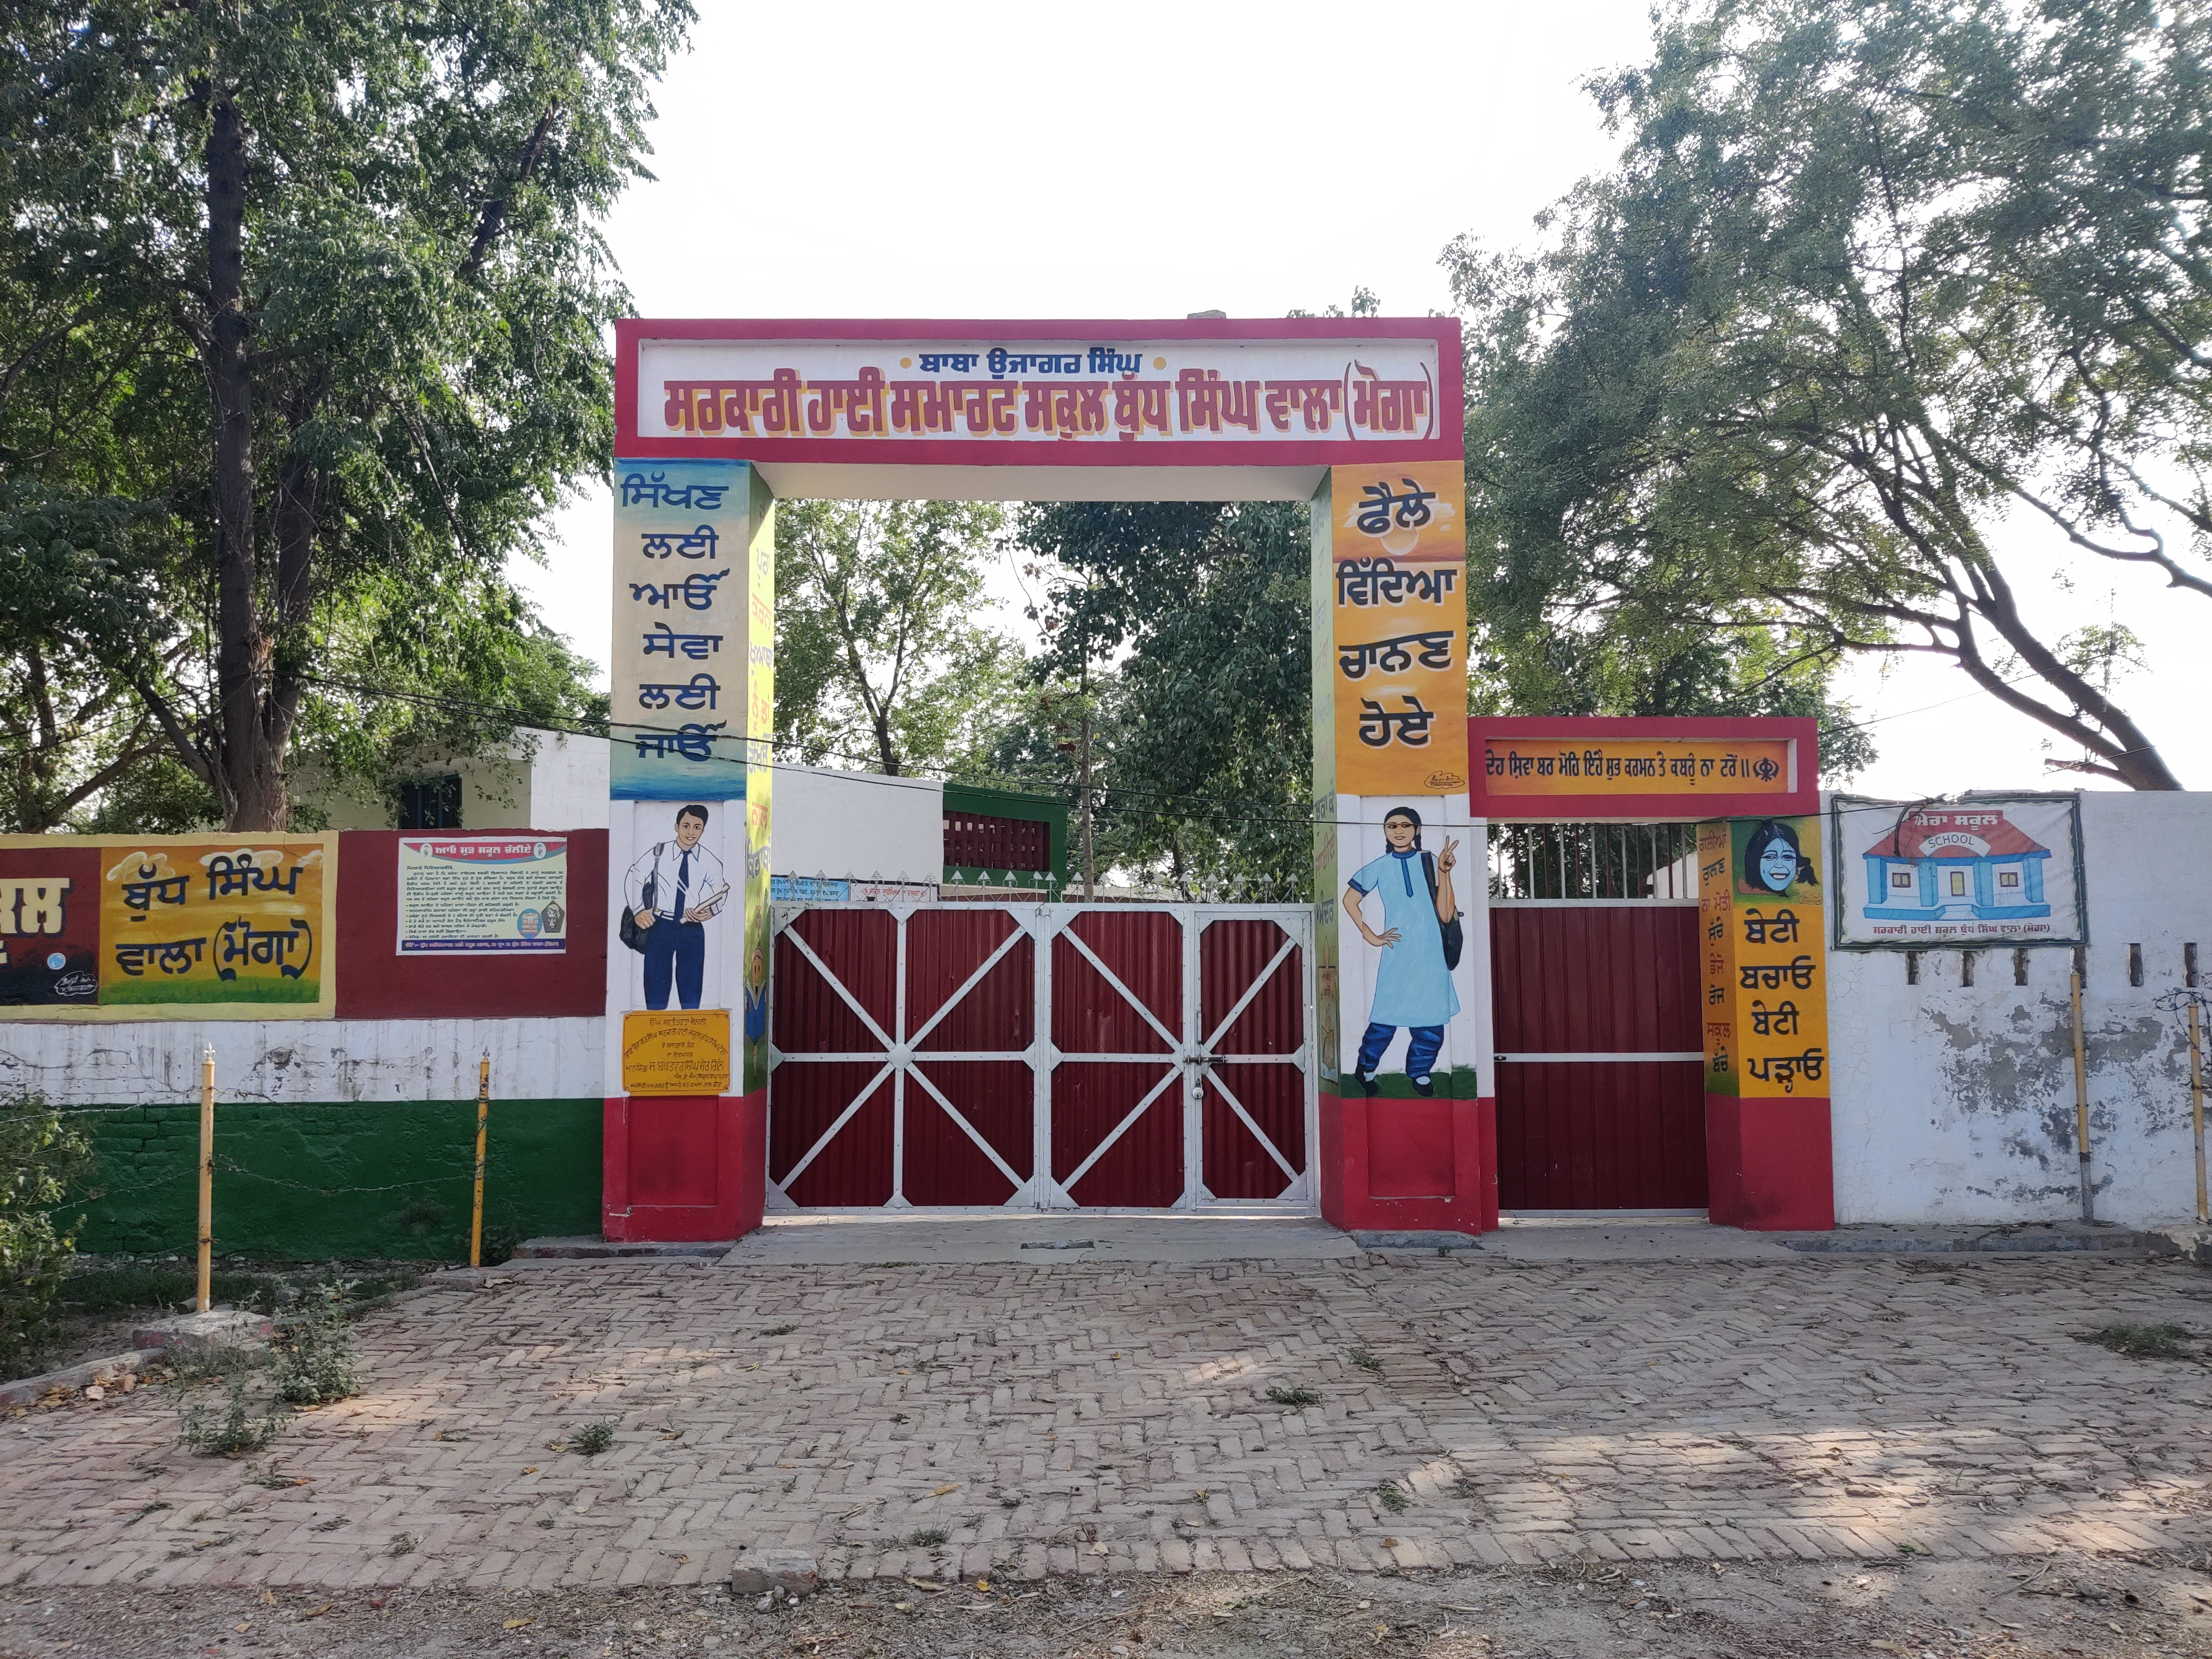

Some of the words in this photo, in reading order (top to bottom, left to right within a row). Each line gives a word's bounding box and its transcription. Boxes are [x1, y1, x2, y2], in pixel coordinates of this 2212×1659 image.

[915, 350, 981, 377] ਬਾਬਾ
[982, 343, 1085, 380] ਉਜਾਗਰ
[1086, 343, 1147, 377] ਸਿੰਘ
[658, 361, 805, 437] ਸਰਕਾਰੀ
[803, 361, 890, 441] ਹਾਈ
[887, 376, 1022, 440] ਸਮਾਰਫ
[1020, 377, 1110, 441] ਸਕੂਲ
[1110, 371, 1176, 441] ਬੁੱਧ
[1172, 364, 1265, 439] ਸਿੰਘ
[1262, 375, 1345, 436] ਵਾਲਾ
[1347, 356, 1432, 439] ਮੋਗਾ
[613, 465, 737, 519] ਸਿੱਖਣ
[1349, 470, 1446, 541] ਫੈਲੇ
[633, 521, 732, 565] ਲਈ
[623, 558, 737, 617] ਆਓ
[1332, 544, 1467, 617] ਵਿੱਦਿਆ
[638, 618, 728, 665] ਸੇਵਾ
[1334, 624, 1465, 687] ਚਾਨਣ
[631, 667, 727, 714] ਲਈ
[1348, 686, 1446, 761] ਹੋਏ
[629, 716, 735, 768] ਜਾਓ
[1484, 745, 1507, 781] ਦੇਹ
[1505, 744, 1536, 782] ਸ਼ਿਵਾ
[1534, 755, 1557, 779] ਬਰ
[1555, 747, 1582, 780] ਮੋਹਿ
[1580, 745, 1605, 777] ਇਹੈ
[1604, 752, 1622, 782] ਸੁਭ
[1621, 755, 1657, 778] ਕਰਮਨ
[1655, 749, 1668, 780] ਤੇ
[1667, 749, 1699, 791] ਕਬਹੂੰ
[1698, 754, 1716, 781] ਨਾ
[1716, 748, 1741, 783] ਟਰੋ
[1911, 811, 1952, 830] ਮੇਰਾ
[1950, 812, 2006, 833] ਸਕੂਲ
[434, 844, 458, 855] ਆਓੁ
[457, 844, 477, 855] ਸੁੜ
[477, 844, 503, 860] ਸਕੂਲ
[503, 843, 534, 856] ਚੱਲੀਏ
[1697, 826, 1730, 855] ਗਲੀਆਂ
[1922, 832, 1978, 852] SCHOOL
[18, 870, 79, 943] ਲ
[113, 860, 196, 926] ਬੁੱਧ
[202, 849, 312, 906] ਸਿੰਘ
[1698, 894, 1713, 916] ਨਾ
[1700, 853, 1731, 890] ਰੁਲਣ
[1713, 886, 1735, 916] ਮੇਤੀ
[105, 930, 210, 985] ਵਾਲਾ
[210, 907, 316, 990] (ਮੋਗਾ)
[1702, 913, 1729, 948] ਸੁੱਚੇ
[1703, 947, 1729, 977] ਭੇਜੇ
[1736, 903, 1806, 951] घेटी
[1736, 948, 1822, 995] ਬਚਾਓ
[1870, 923, 1908, 937] ਸਰਕਾਰੀ
[1910, 922, 1933, 937] ਹਾਈ
[1933, 924, 1959, 940] ਸਕੂਲ
[1958, 922, 1976, 937] ਬੁੱਧ
[1975, 922, 1999, 934] ਸਿੰਘ
[1999, 919, 2022, 937] ਵਾਲਾ
[2025, 921, 2051, 934] ਮੋਗਾ)
[1703, 979, 1730, 1008] ਰੋਜ
[1704, 1018, 1734, 1046] ਸਕੂਲ
[1749, 997, 1809, 1044] ਬੇਟੀ
[623, 1060, 648, 1074] ਮਾਨਯੋਗ
[648, 1059, 658, 1073] तः
[657, 1059, 684, 1072] ਬਖਤਵਰ
[684, 1058, 700, 1072] ਸਿੰਘ
[699, 1057, 710, 1072] ਸੇਰ
[709, 1058, 726, 1072] ਗਿੱਲ
[1707, 1044, 1732, 1074] ਬੱਚੇ
[1741, 1042, 1829, 1095] ਪੜ੍ਹਾਓ